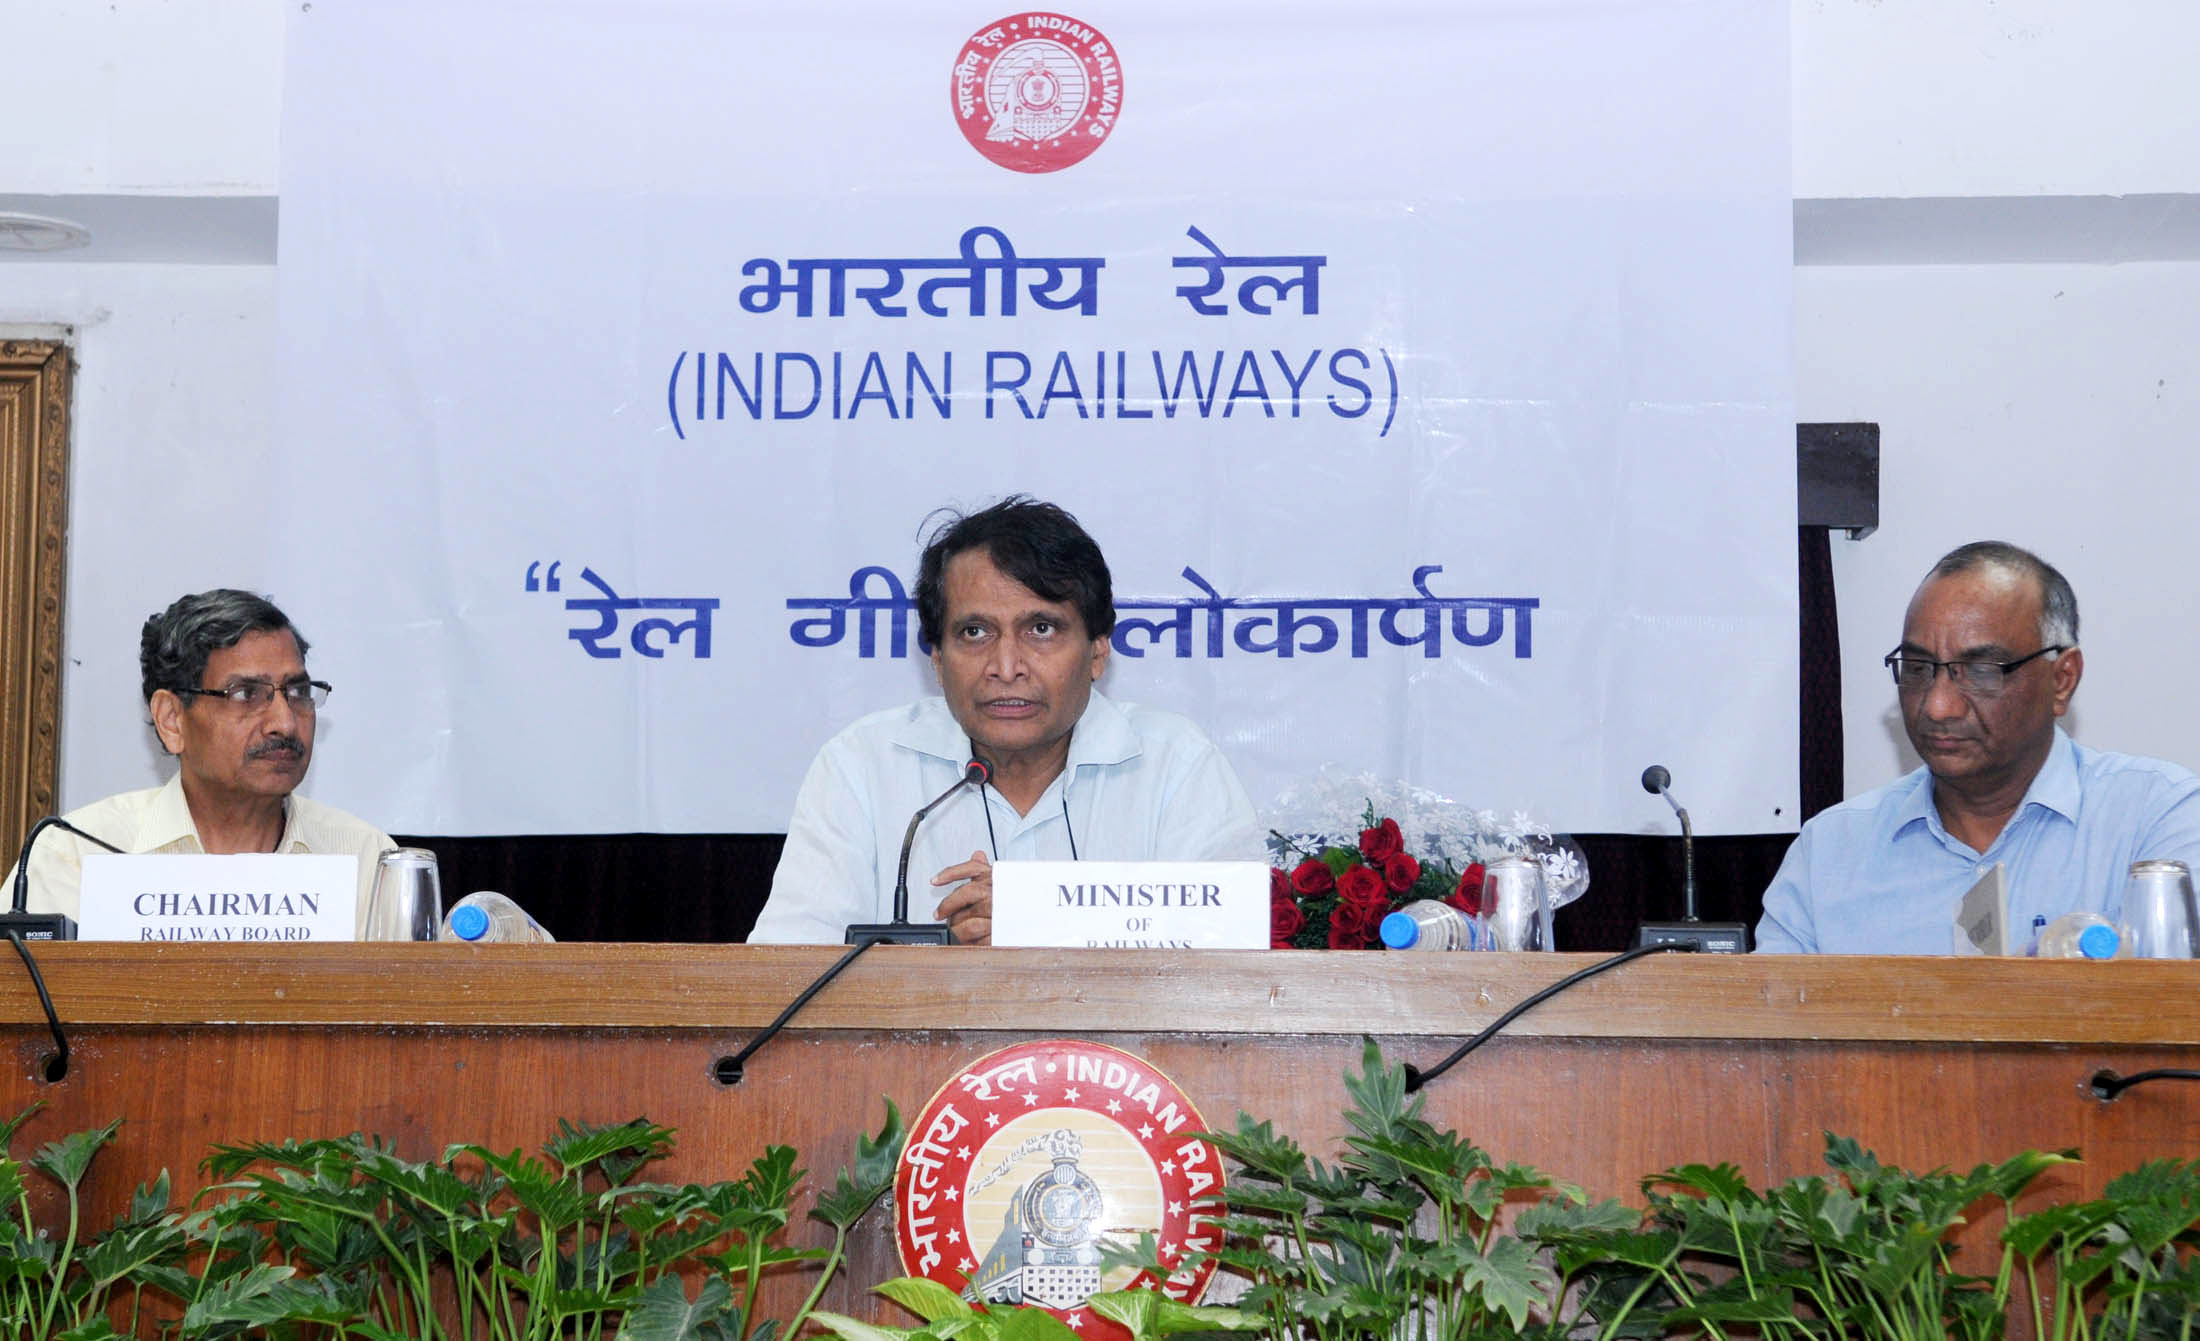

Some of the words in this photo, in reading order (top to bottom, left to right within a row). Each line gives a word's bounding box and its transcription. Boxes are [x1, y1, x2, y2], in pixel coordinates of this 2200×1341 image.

[949, 43, 986, 125] भारतीय
[966, 22, 1011, 52] रेल
[1024, 9, 1097, 49] INDIAN
[1082, 36, 1123, 143] RAILWAYS
[732, 215, 1111, 323] भारतीय
[1169, 217, 1332, 321] रेल
[669, 339, 962, 435] INDIAN
[983, 345, 1377, 427] RAILWAYS
[556, 561, 727, 666] रेल
[1103, 554, 1543, 666] लोकार्पण
[136, 920, 239, 944] RAILWAY
[131, 887, 323, 922] CHAIRMAN
[241, 920, 315, 945] BOARD
[1053, 881, 1225, 909] MINISTER
[955, 1053, 1041, 1107] रेल
[1063, 1047, 1190, 1142] INDIAN
[902, 1098, 975, 1283] भारतीय
[1155, 1135, 1219, 1309] RAILWAY